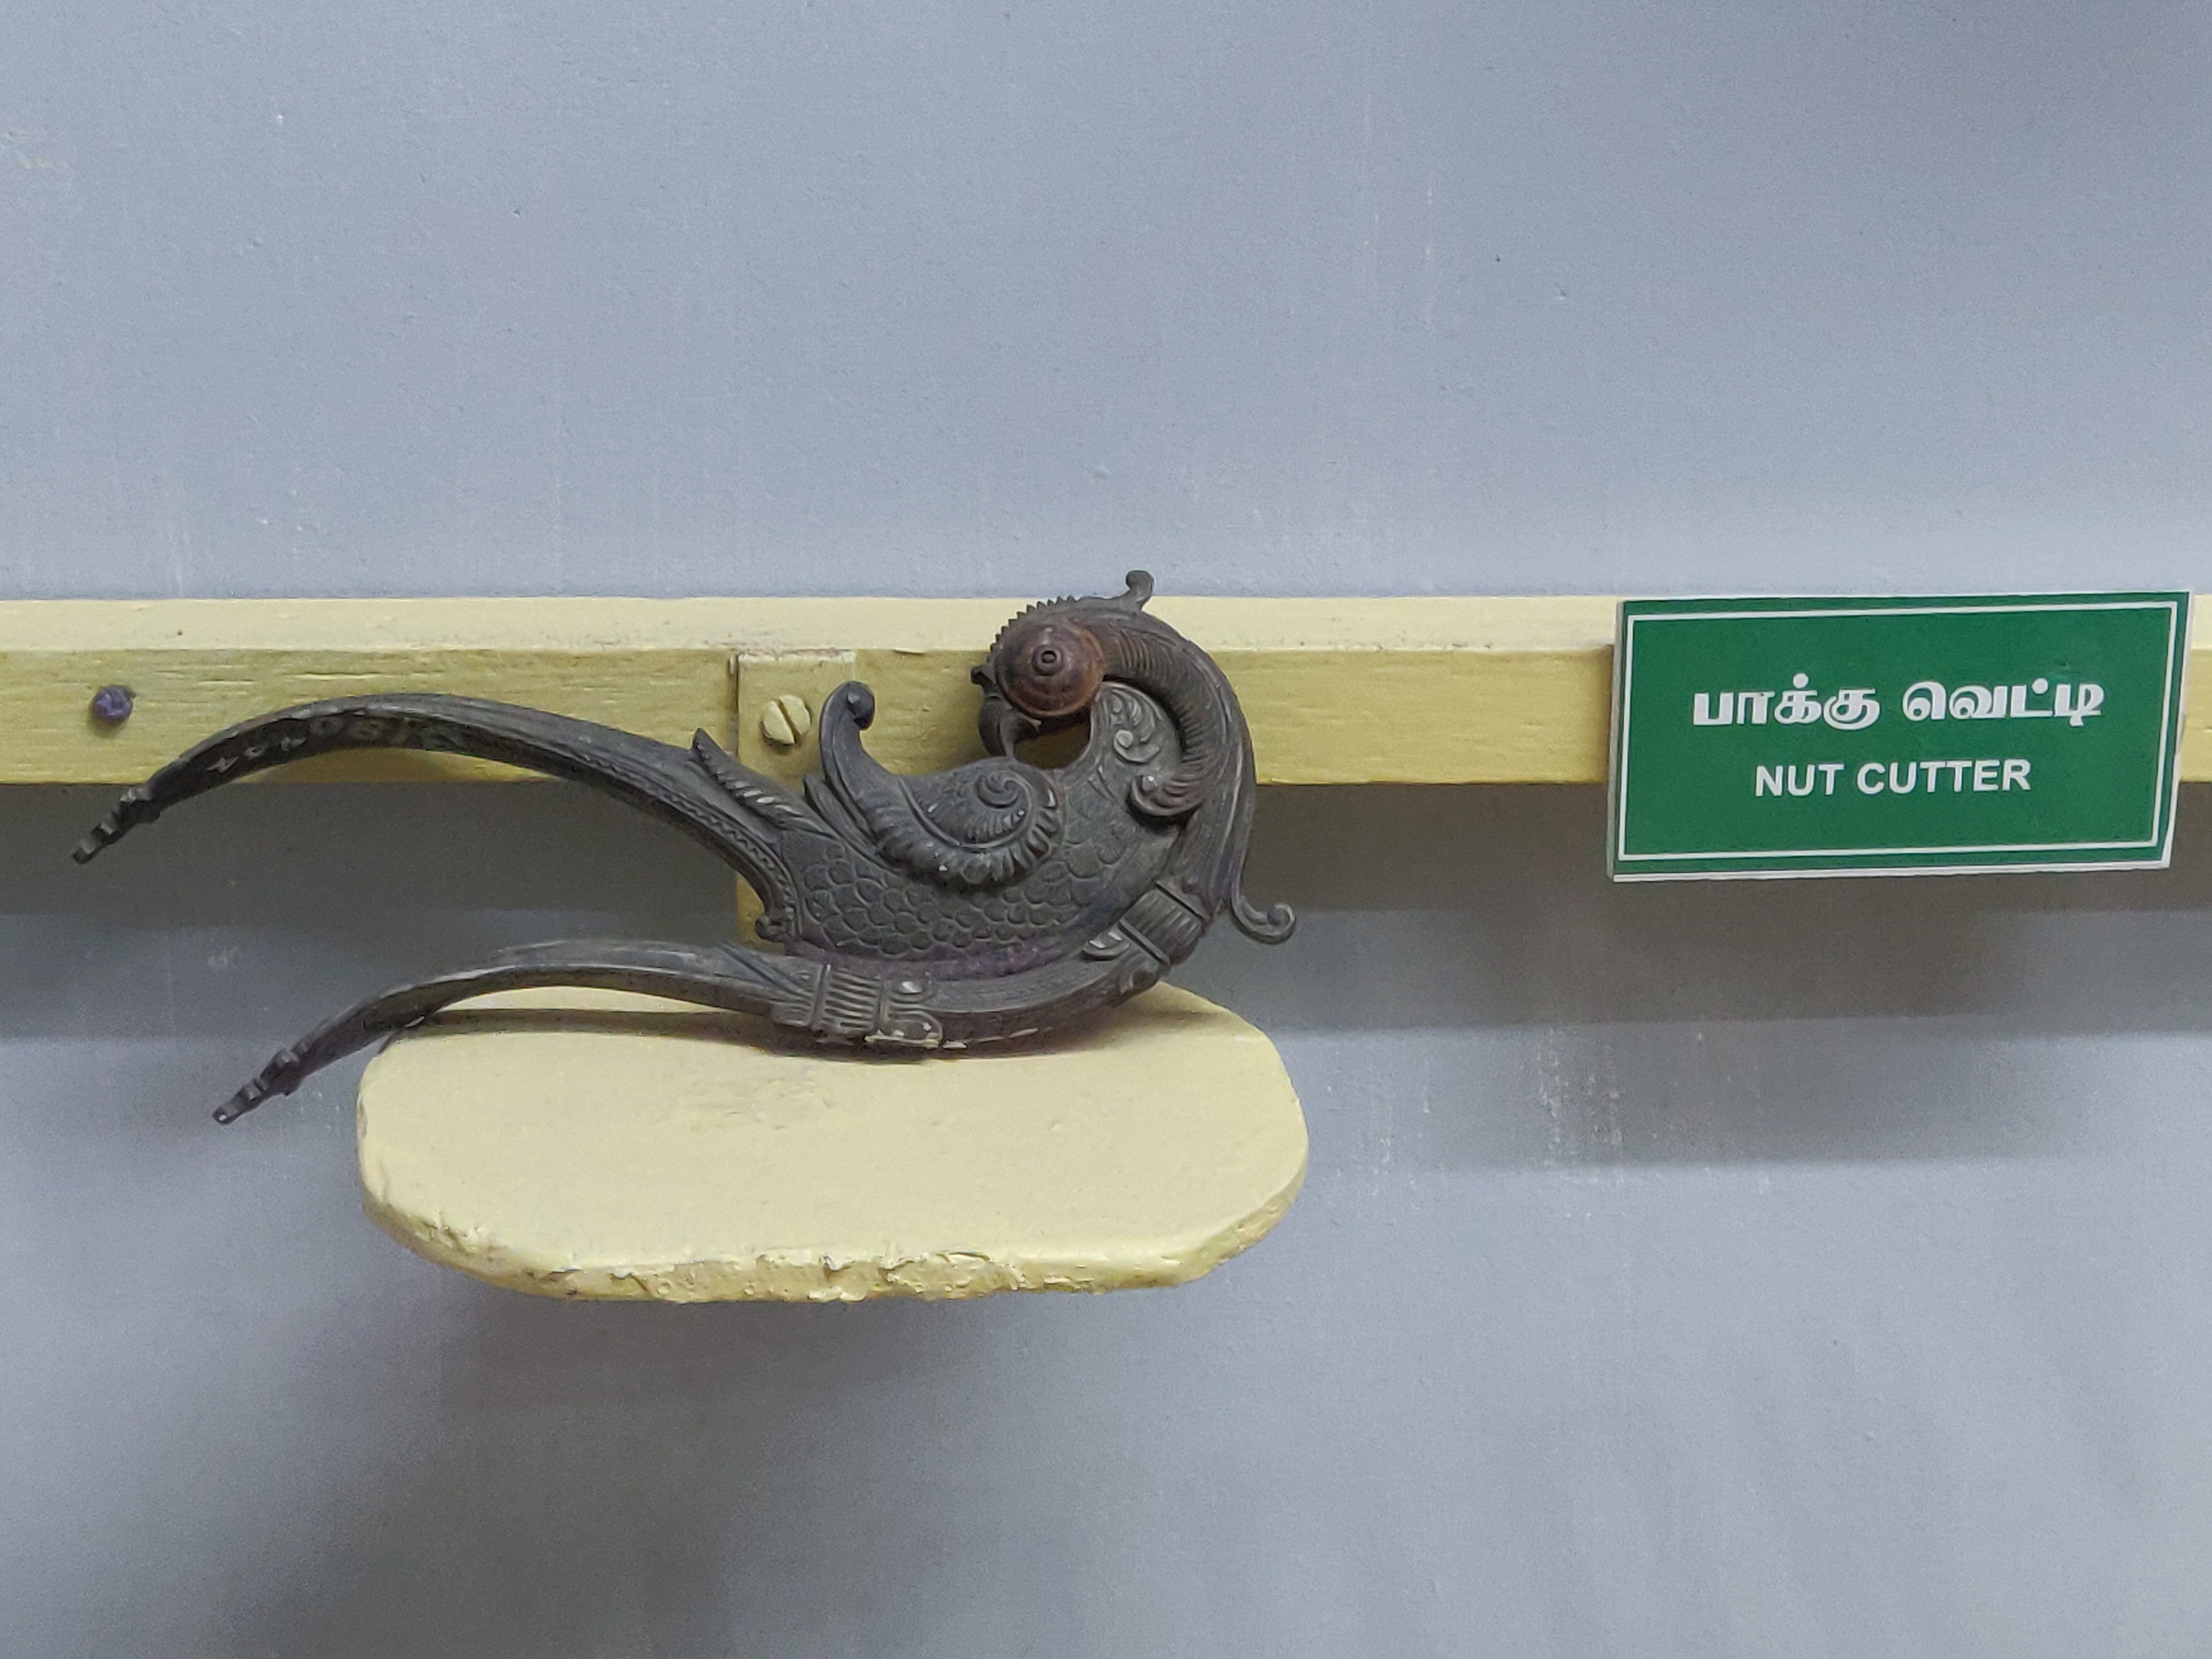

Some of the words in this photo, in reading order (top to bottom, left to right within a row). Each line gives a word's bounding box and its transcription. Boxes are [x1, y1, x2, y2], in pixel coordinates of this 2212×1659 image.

[1687, 669, 1882, 736] பாக்கு
[1900, 673, 2107, 730] வெட்டி
[1753, 762, 1845, 800] NUT
[1852, 756, 2034, 800] CUTTER